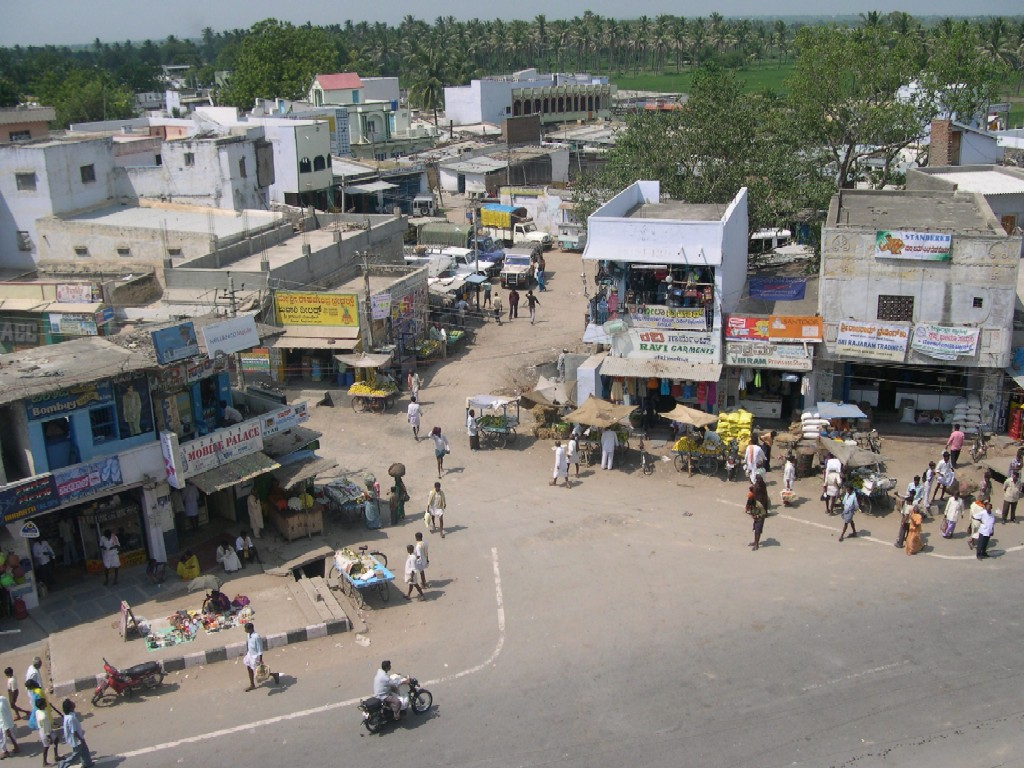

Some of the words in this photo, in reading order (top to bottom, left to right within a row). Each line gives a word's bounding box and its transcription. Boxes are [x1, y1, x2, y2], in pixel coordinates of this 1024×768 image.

[295, 301, 325, 319] ದೀಲರ್
[634, 326, 667, 347] ರವಿ
[184, 433, 229, 467] MOBILE
[223, 419, 266, 450] PALACE